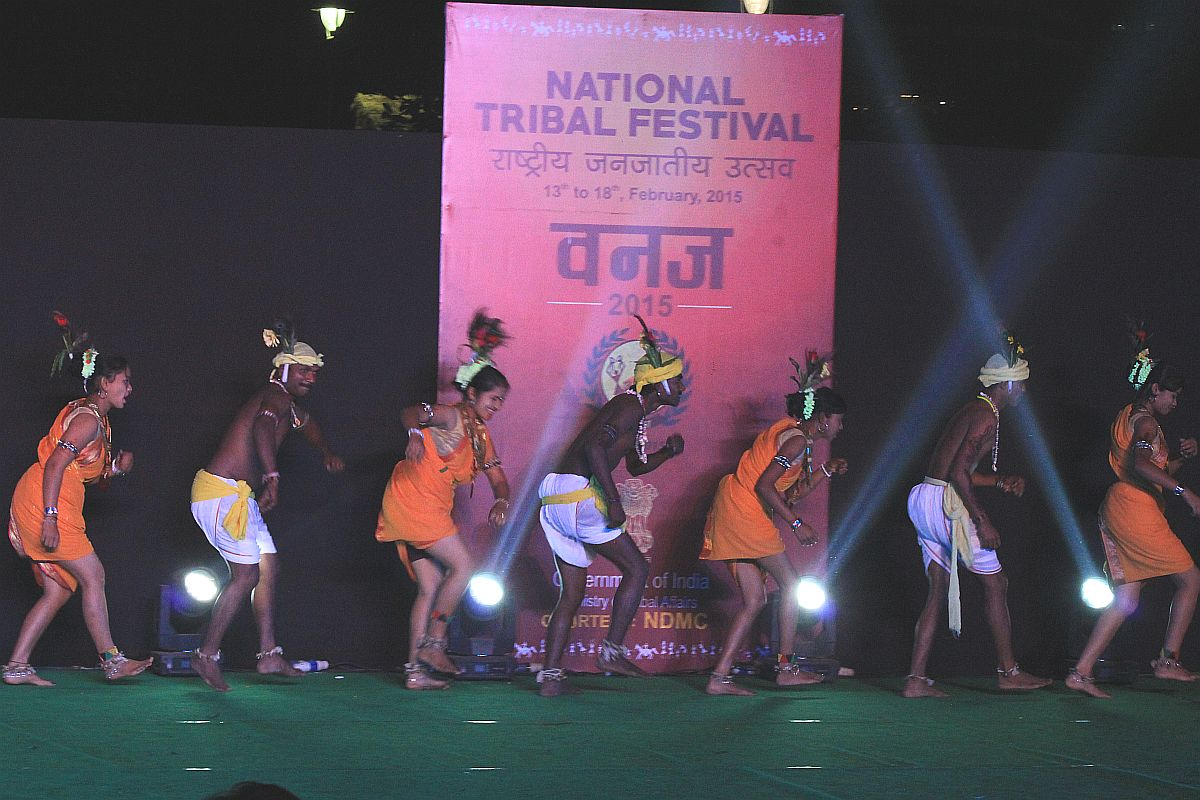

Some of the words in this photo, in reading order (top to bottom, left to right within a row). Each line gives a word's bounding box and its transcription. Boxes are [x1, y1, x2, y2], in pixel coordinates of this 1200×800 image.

[540, 63, 751, 109] NATIONAL
[473, 93, 621, 139] TRIBAL
[624, 103, 817, 145] FESTIVAL
[487, 135, 573, 182] राष्ट्रीय
[583, 138, 715, 181] जनजातीय
[719, 151, 797, 183] उत्सव
[536, 179, 569, 203] 13th
[568, 180, 593, 202] to
[583, 177, 620, 207] १८
[623, 181, 703, 209] February
[701, 183, 749, 212] 2015
[549, 217, 740, 293] वनज
[604, 288, 675, 324] 2015
[643, 569, 675, 594] of
[670, 569, 716, 591] India
[635, 589, 662, 611] bal
[655, 590, 703, 615] Affairs
[637, 607, 709, 637] NDMC